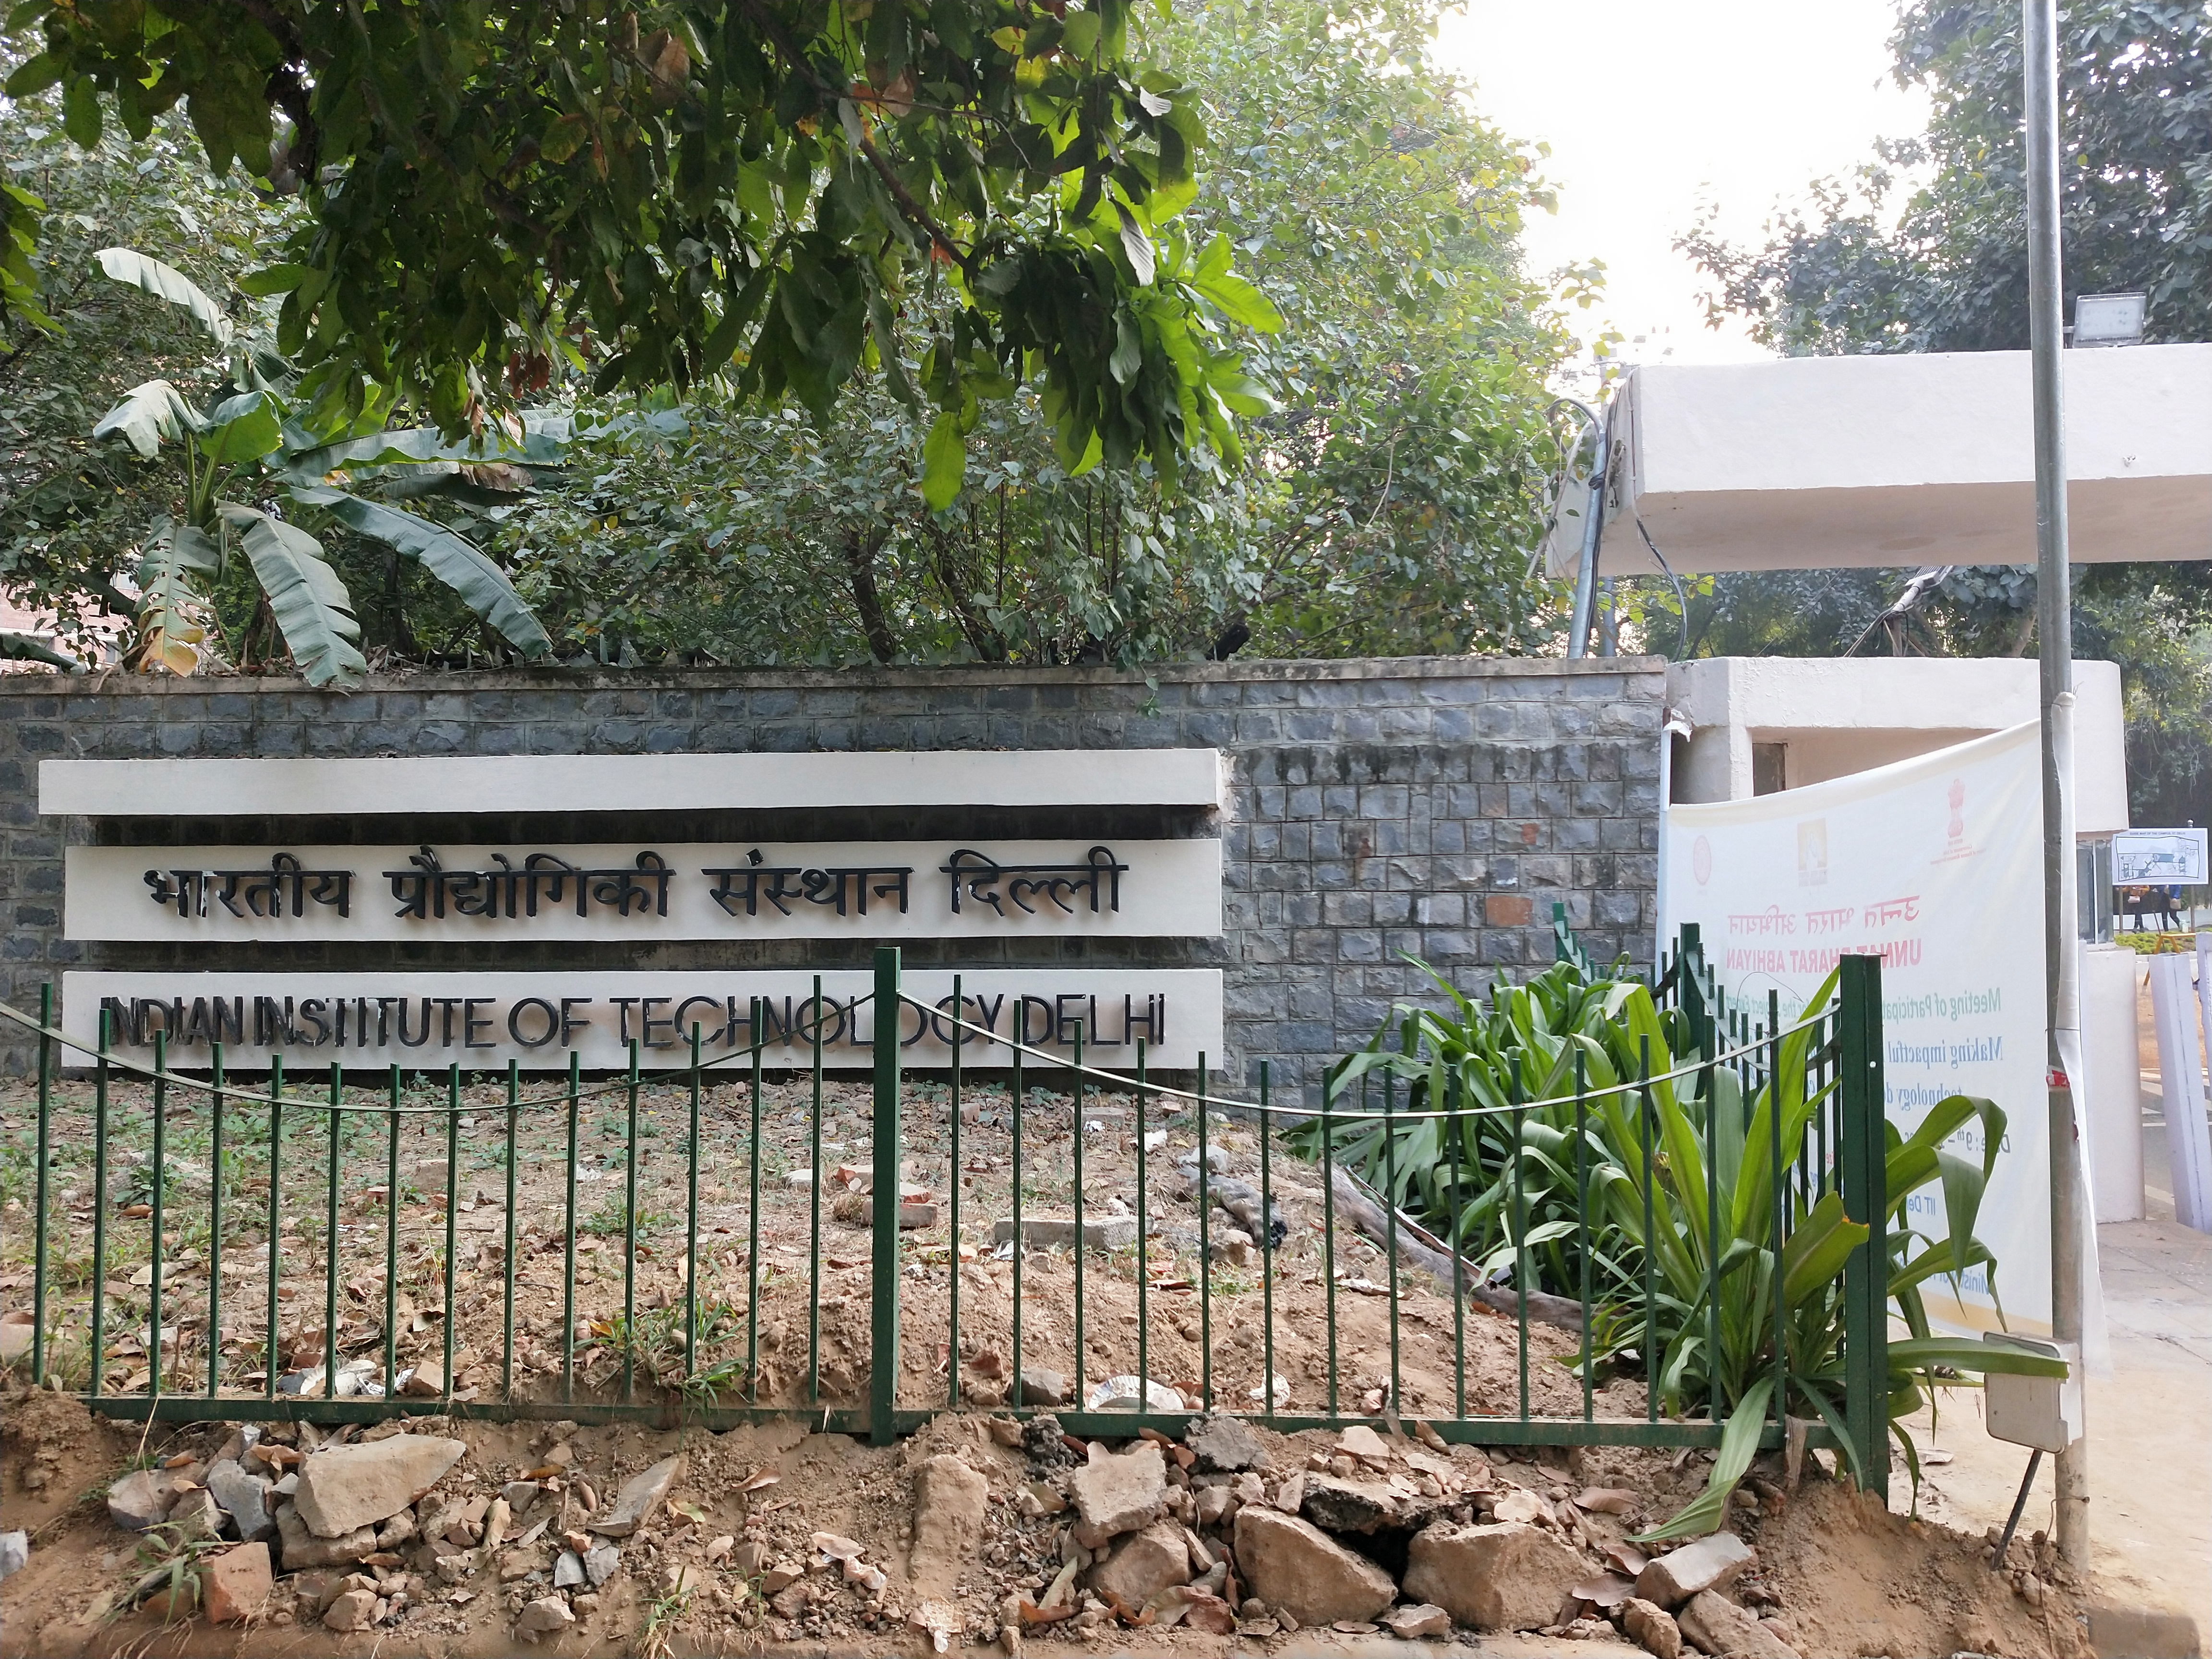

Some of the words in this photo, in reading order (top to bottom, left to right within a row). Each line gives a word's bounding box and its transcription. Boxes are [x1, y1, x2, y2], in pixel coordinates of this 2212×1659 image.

[138, 846, 354, 922] भारतीय
[384, 843, 676, 926] प्रौद्योगिकी
[699, 843, 915, 922] संस्थान
[934, 840, 1136, 920] दिल्ली
[1722, 901, 1800, 940] अभियान
[1799, 902, 1859, 938] भारत
[1857, 893, 1925, 939] उन्नत
[1724, 945, 1791, 978] ABHIAN
[1789, 944, 1856, 979] HARAT
[1853, 935, 1924, 974] UNNAT
[97, 993, 248, 1051] INDIAN
[245, 987, 498, 1052] INSTITUTE
[498, 992, 595, 1054] OF
[609, 990, 1009, 1052] TECHNOLOGY
[1016, 987, 1170, 1048] DELHI